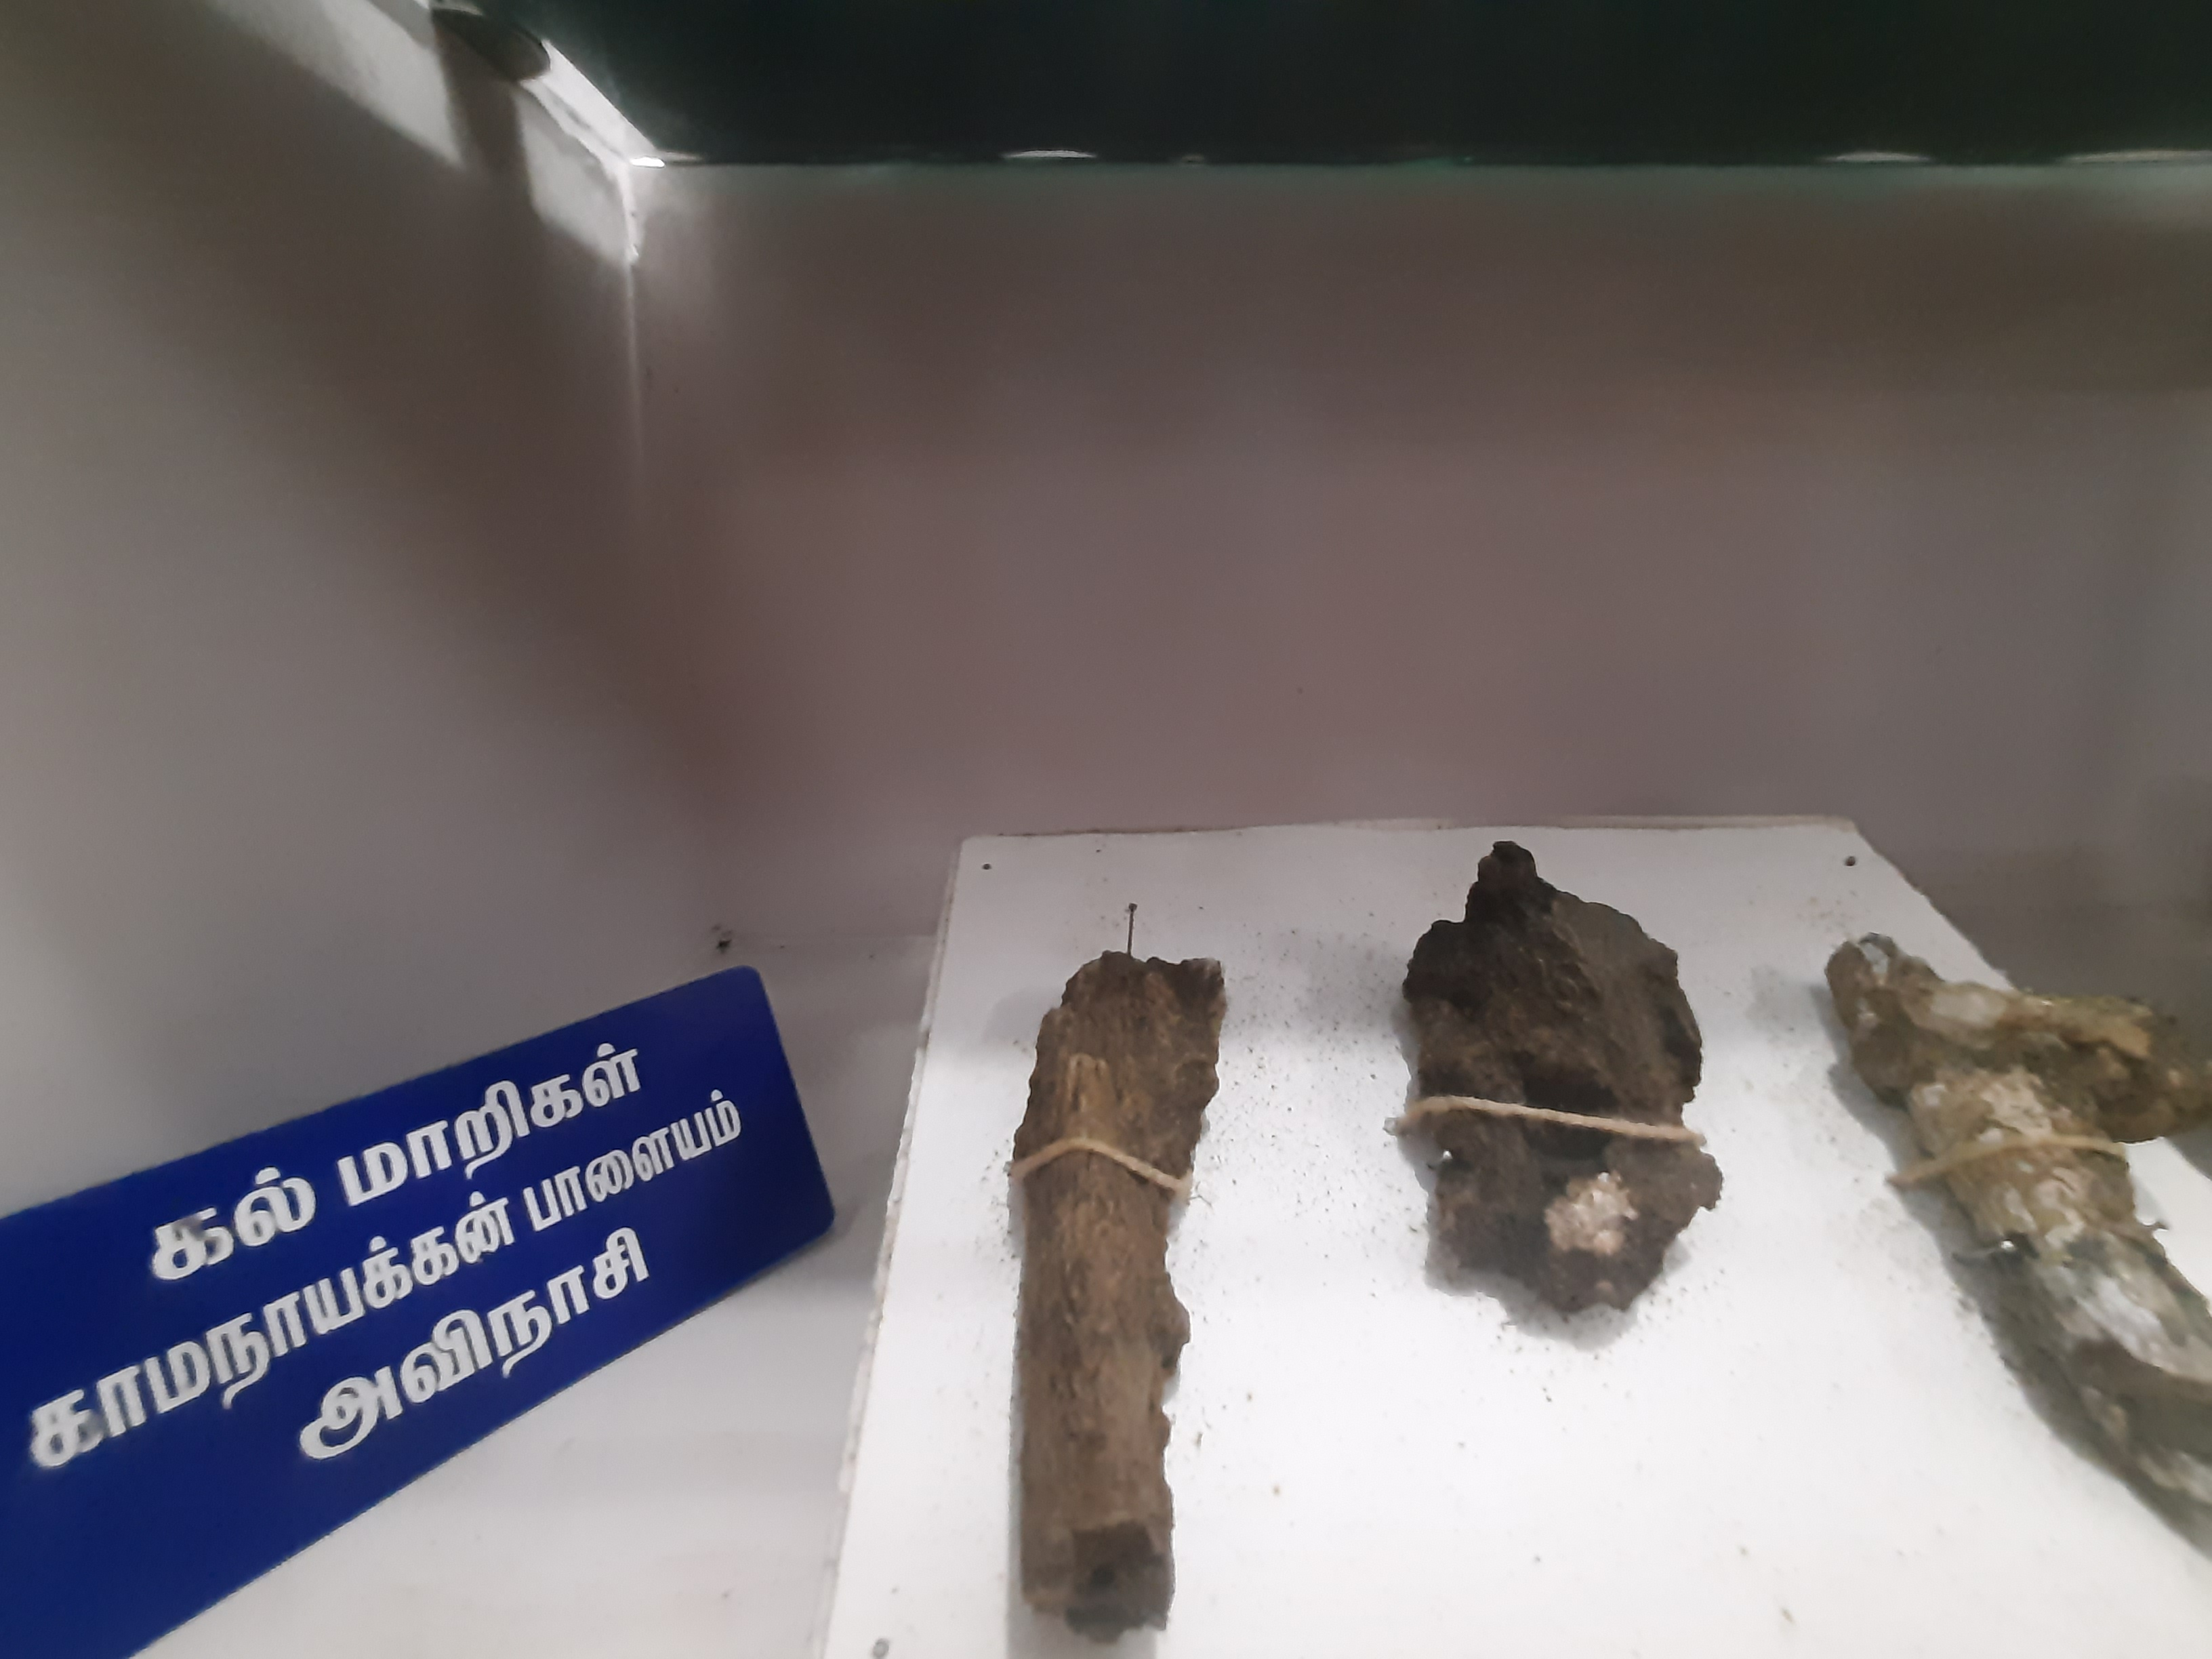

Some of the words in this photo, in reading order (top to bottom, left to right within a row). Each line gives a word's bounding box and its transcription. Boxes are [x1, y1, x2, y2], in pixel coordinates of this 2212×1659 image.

[139, 1154, 322, 1291] ௧ல்
[325, 1033, 649, 1208] மாறிகள்
[515, 1082, 749, 1240] பாளையம்
[24, 1184, 517, 1479] காமநாயக்கள்
[285, 1220, 661, 1473] அவிநாசி